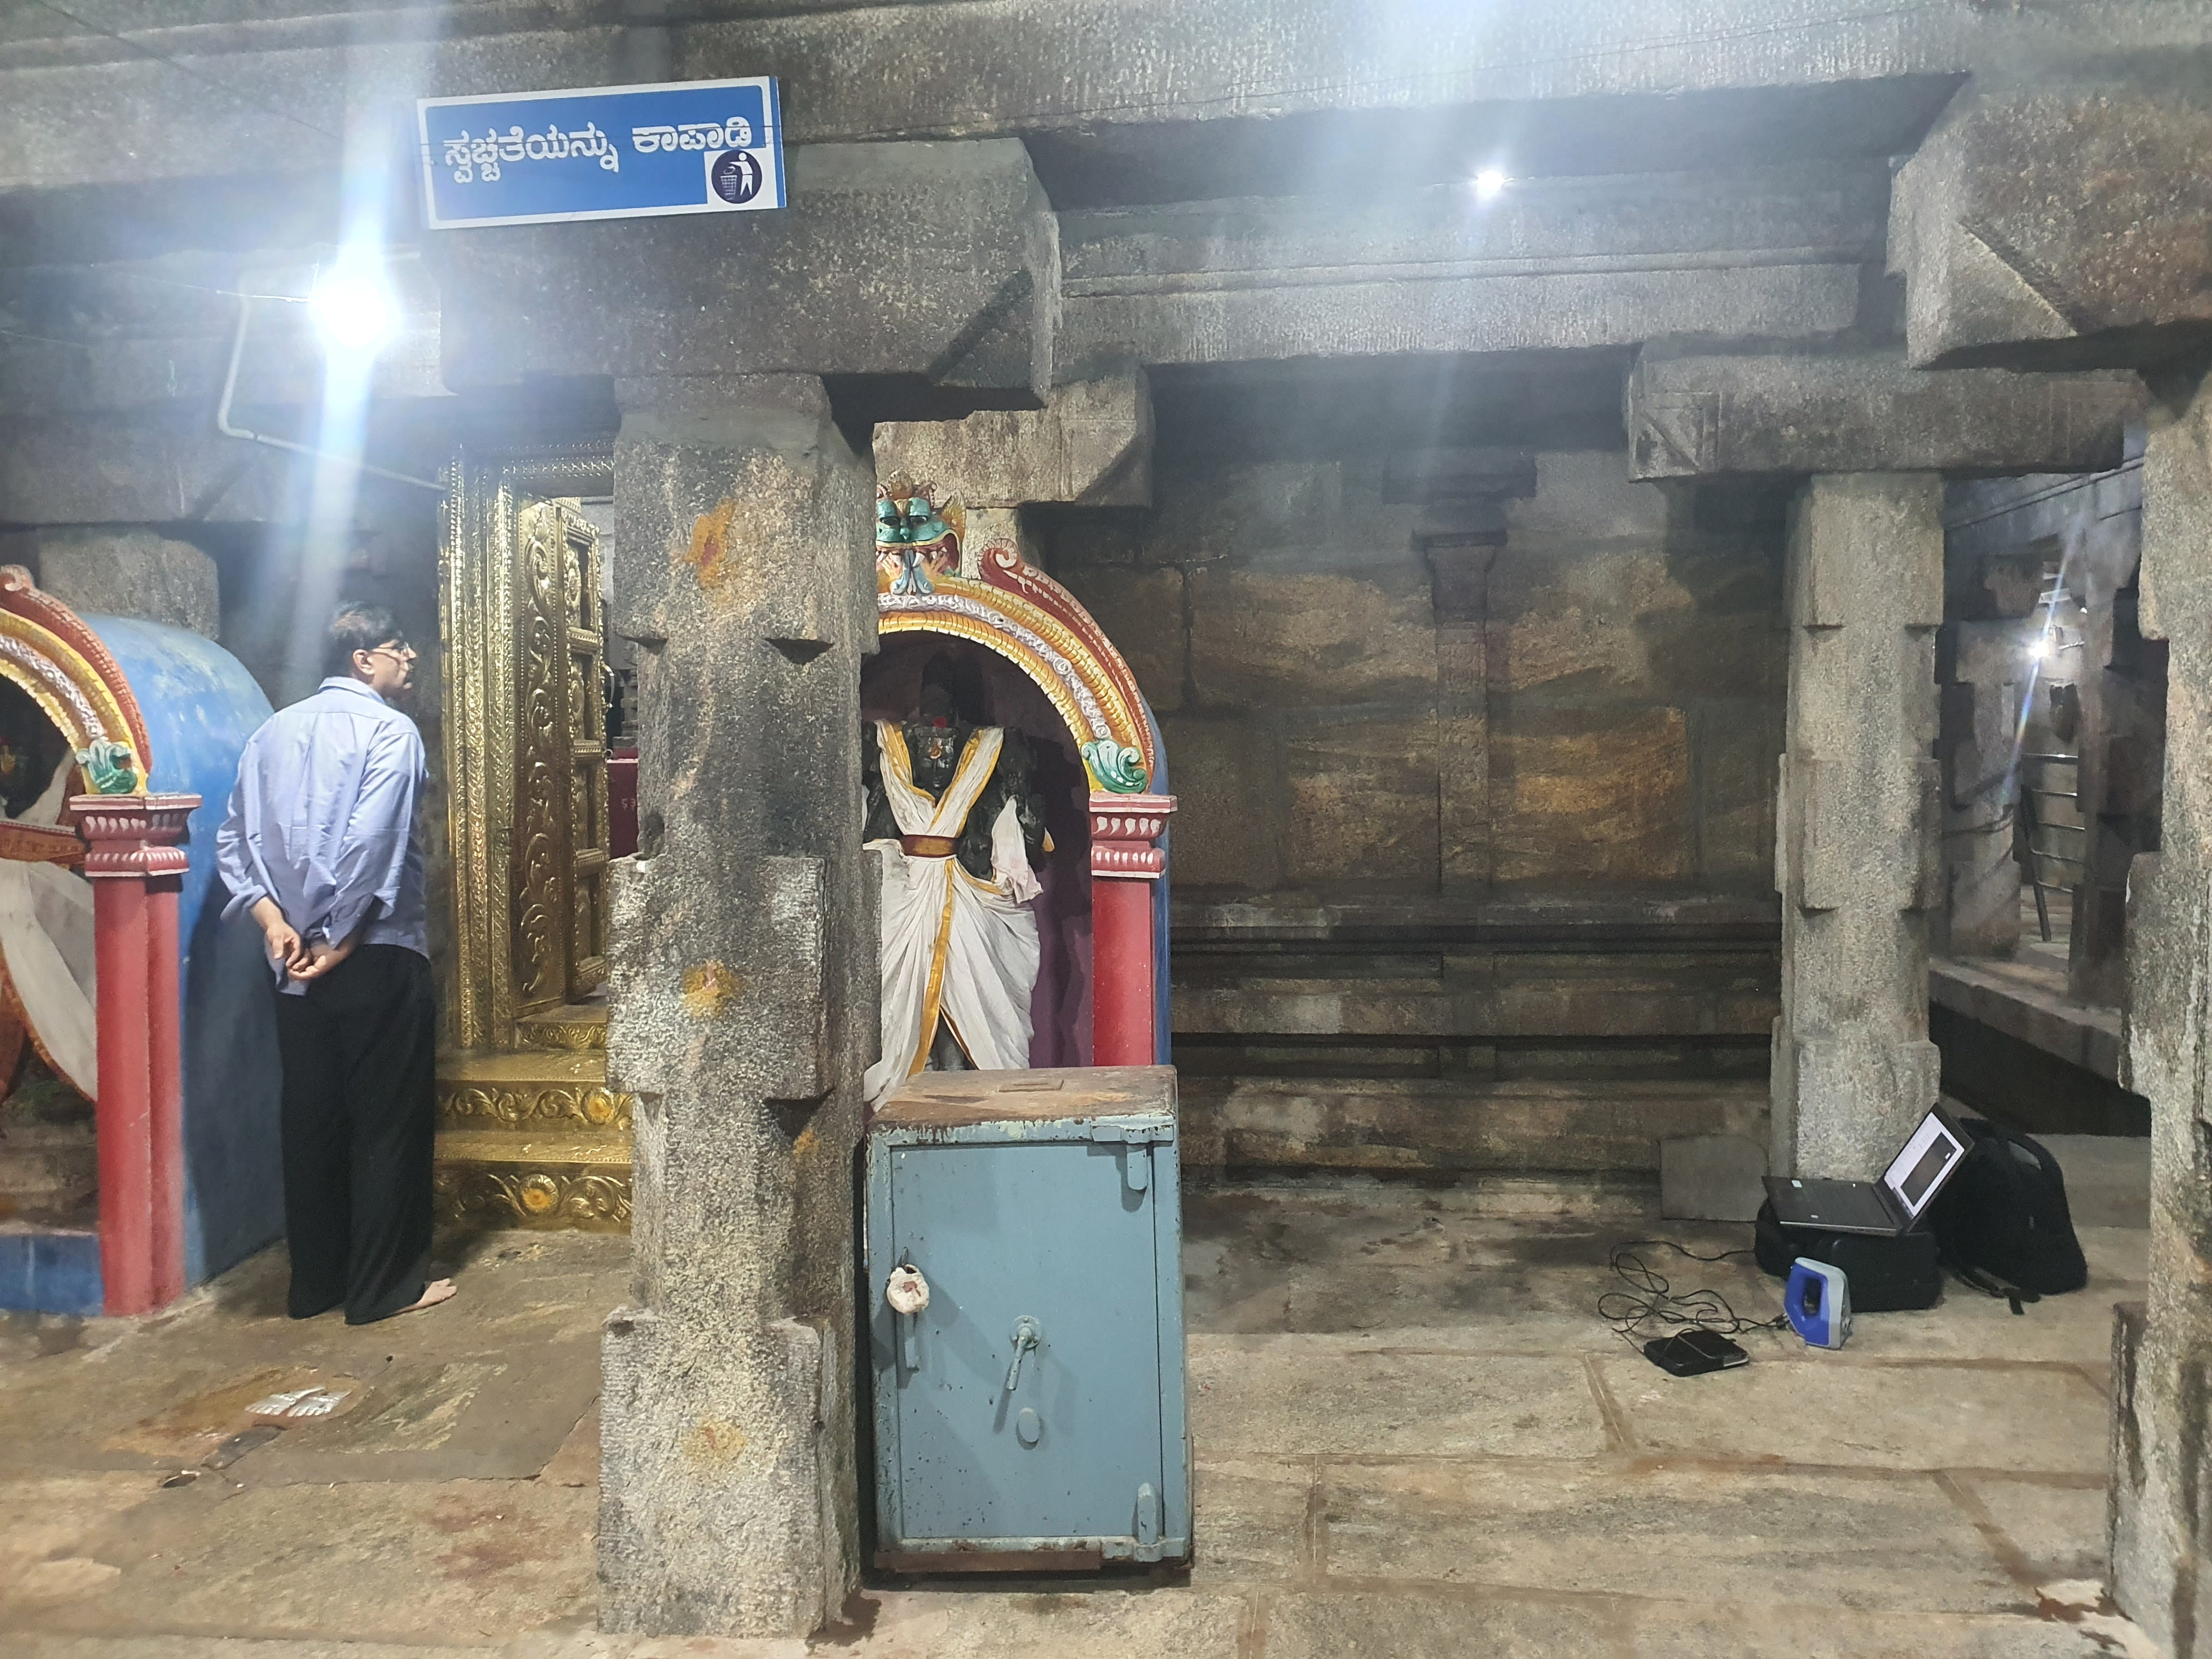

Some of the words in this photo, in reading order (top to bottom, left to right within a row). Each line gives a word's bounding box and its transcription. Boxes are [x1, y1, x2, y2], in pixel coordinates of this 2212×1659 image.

[437, 116, 624, 189] ಸ್ವಚ್ಚತೆಯನ್ನ
[626, 109, 754, 157] ಕಾಪಾಡಿ